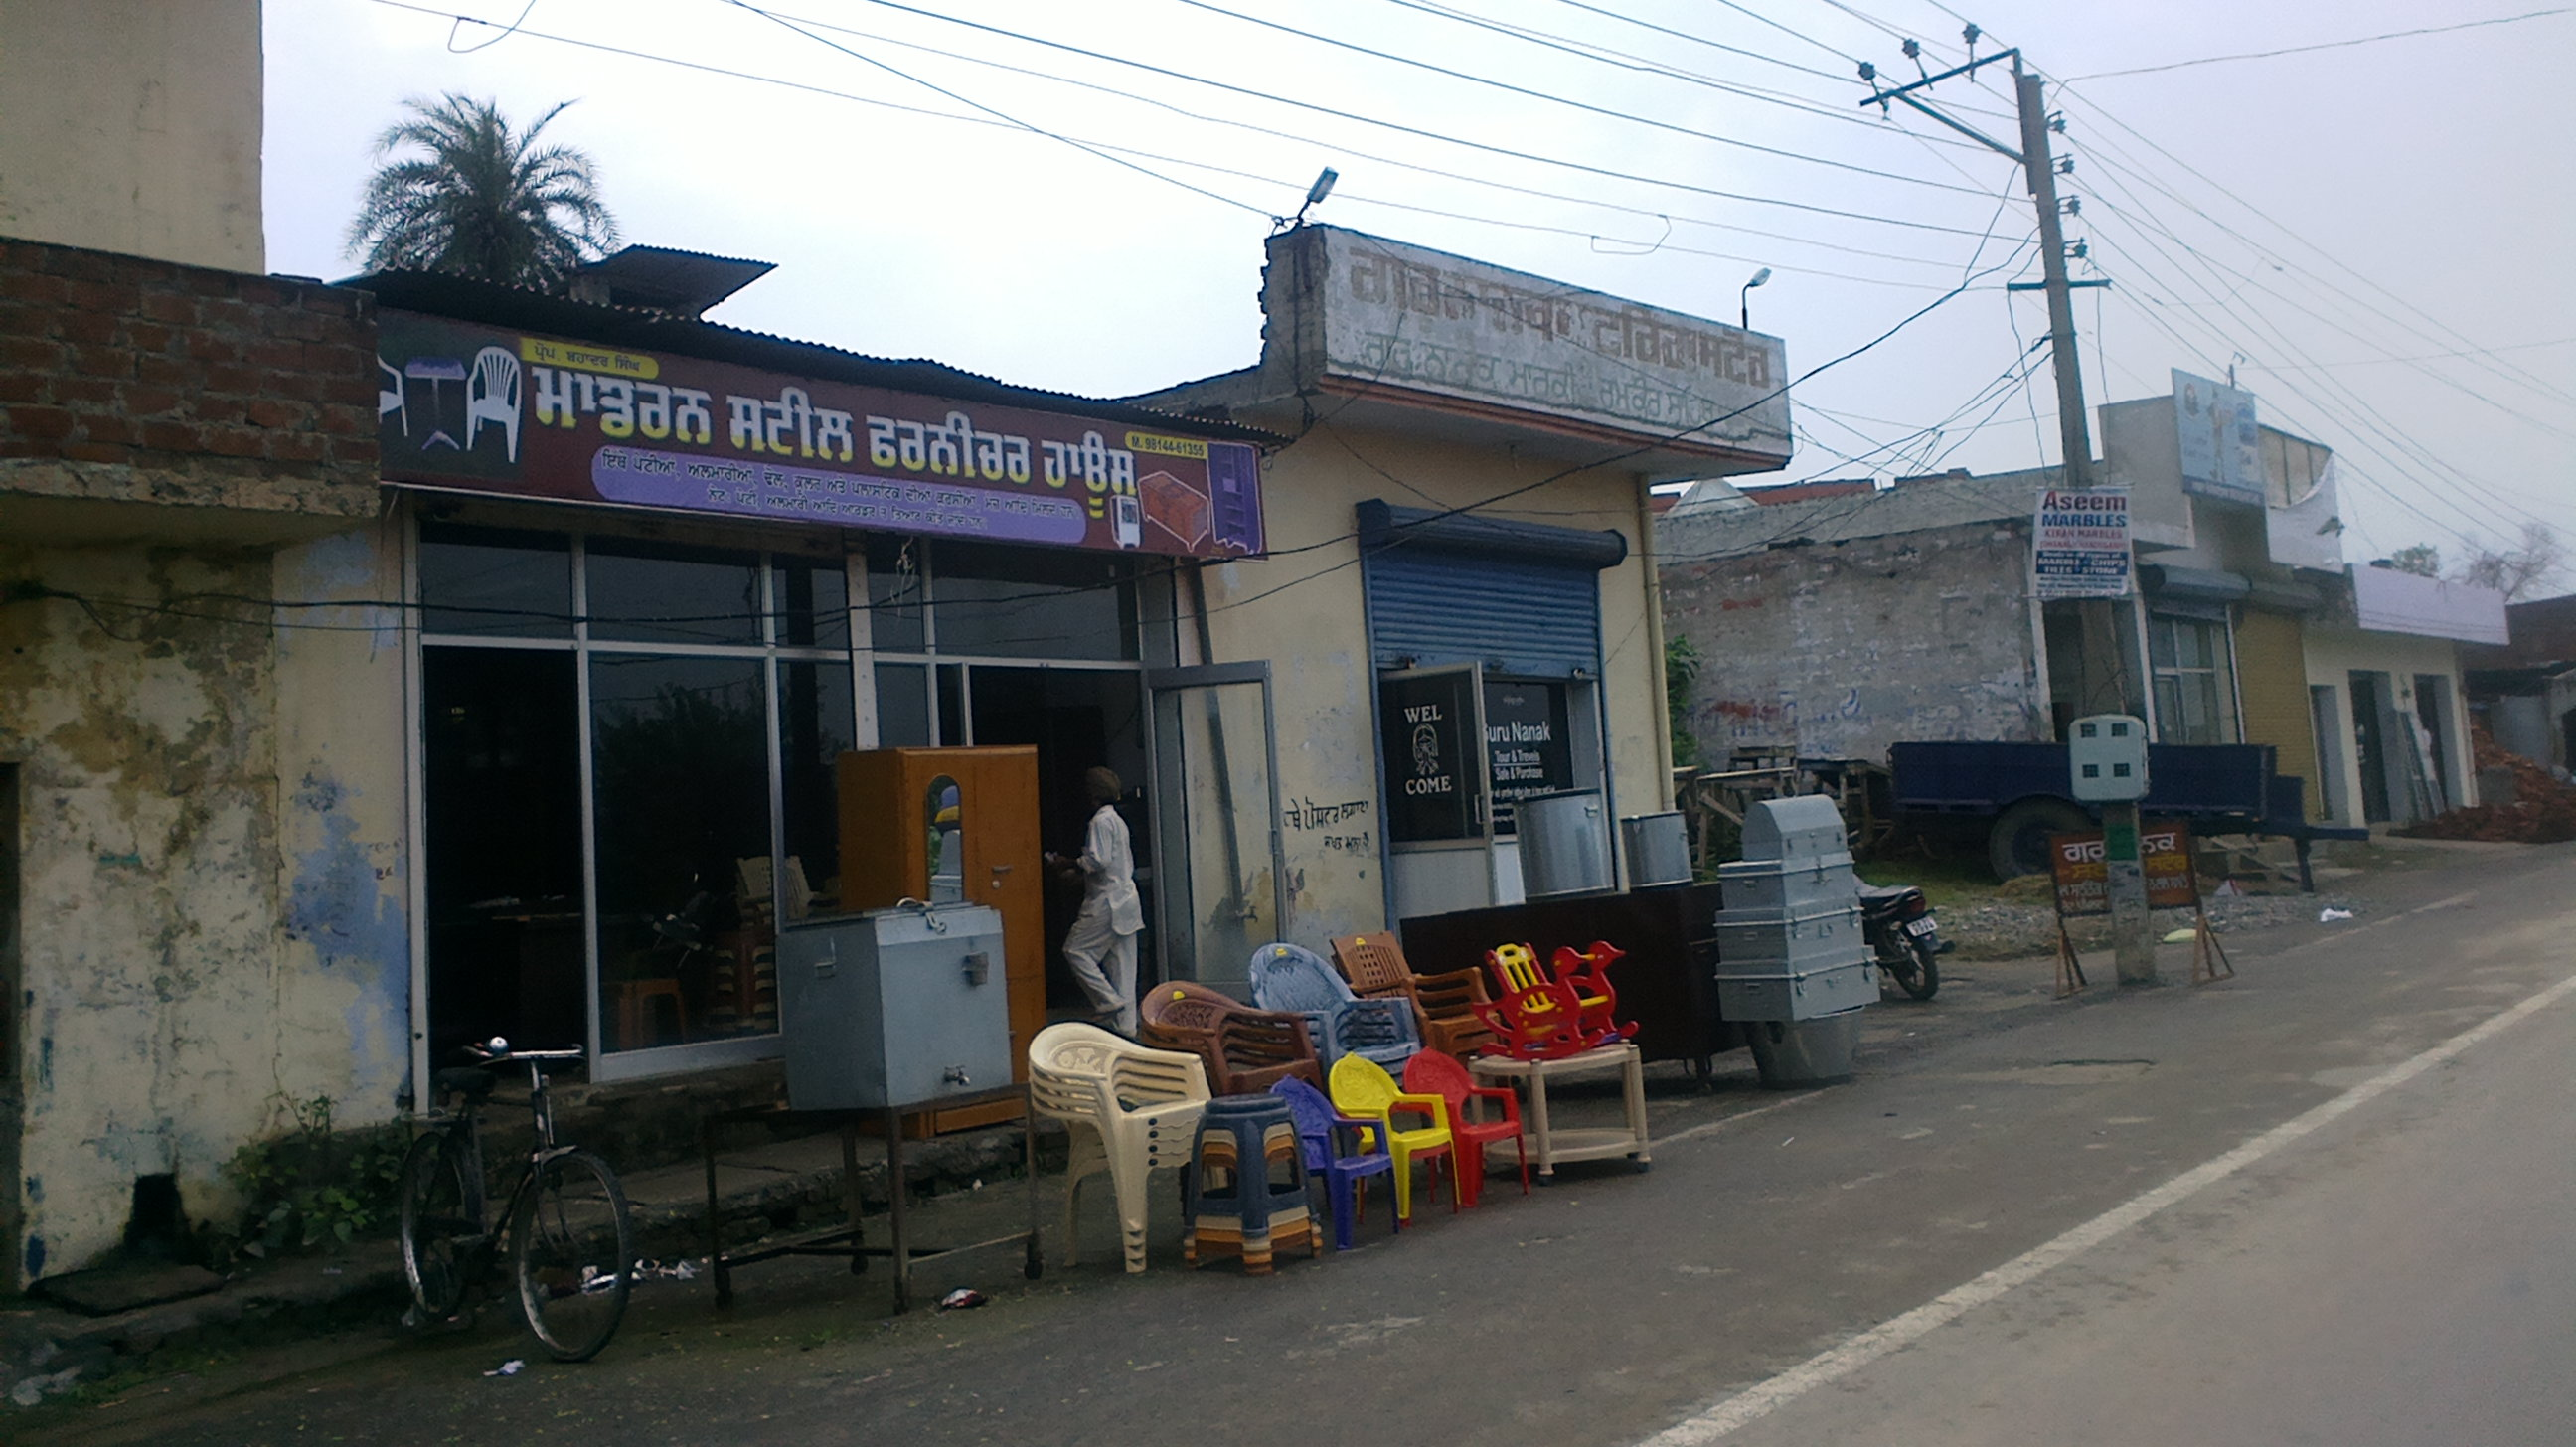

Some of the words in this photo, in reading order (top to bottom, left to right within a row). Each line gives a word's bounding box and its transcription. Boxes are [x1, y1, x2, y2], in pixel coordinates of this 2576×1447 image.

[526, 362, 720, 454] ਮਾਡਰਨ
[721, 379, 856, 467] ਸਟੀਲ
[858, 402, 1041, 492] ਫਰਨੀਚਰ
[1037, 425, 1138, 524] ਹਾਊਸ
[2038, 486, 2132, 513] Aseem
[2037, 508, 2129, 528] MARBLES
[1400, 701, 1449, 725] WEL
[1509, 717, 1557, 744] Nanak
[1398, 773, 1455, 798] COME